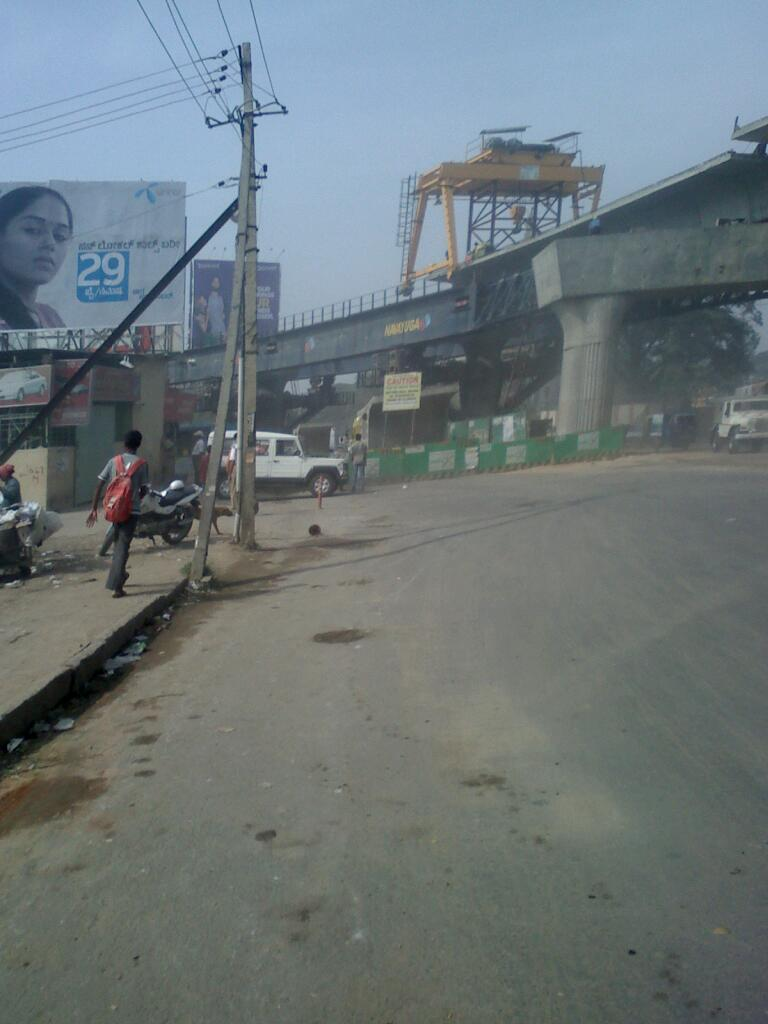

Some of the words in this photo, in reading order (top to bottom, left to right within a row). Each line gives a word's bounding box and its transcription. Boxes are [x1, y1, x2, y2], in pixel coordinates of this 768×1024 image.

[154, 233, 187, 253] De
[74, 245, 129, 295] 29
[379, 310, 425, 341] NAVAYUSA
[382, 370, 421, 390] CAUTION